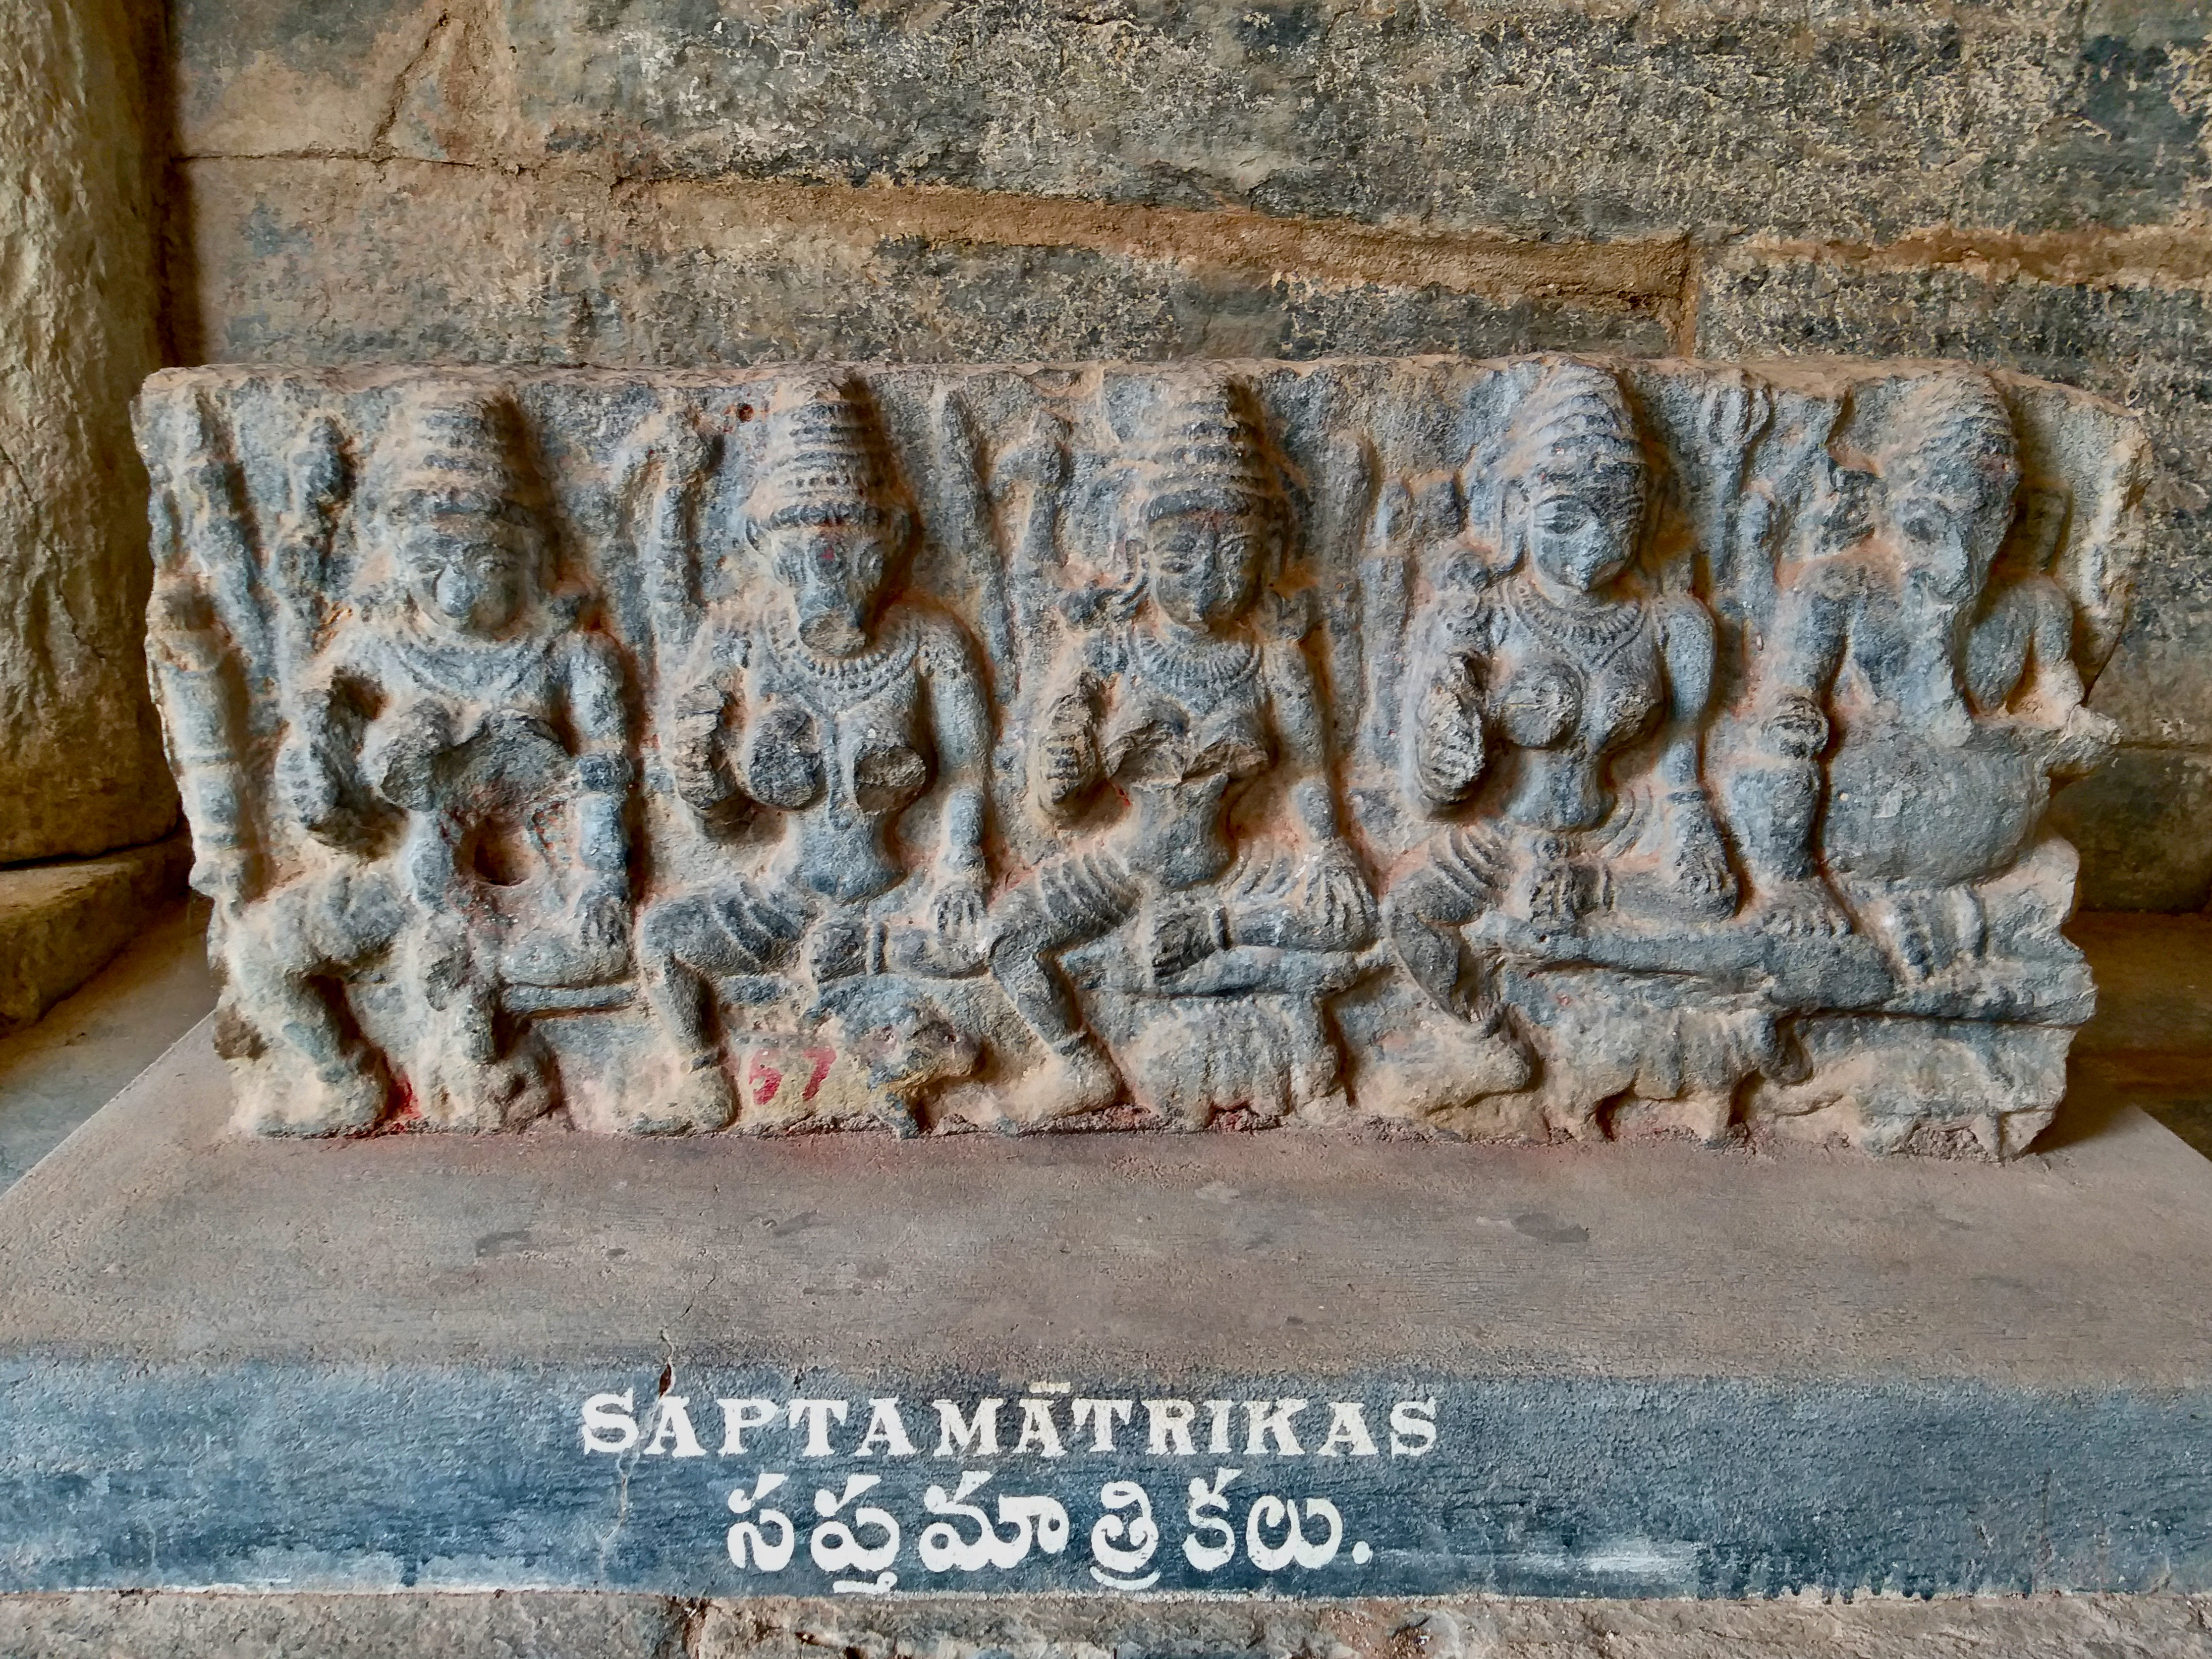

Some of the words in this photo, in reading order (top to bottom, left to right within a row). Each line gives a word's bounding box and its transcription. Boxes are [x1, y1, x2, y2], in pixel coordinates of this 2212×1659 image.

[574, 1377, 1443, 1462] SAPTAMATRIKAS
[719, 1464, 1348, 1599] సప్తమాత్రి కలు